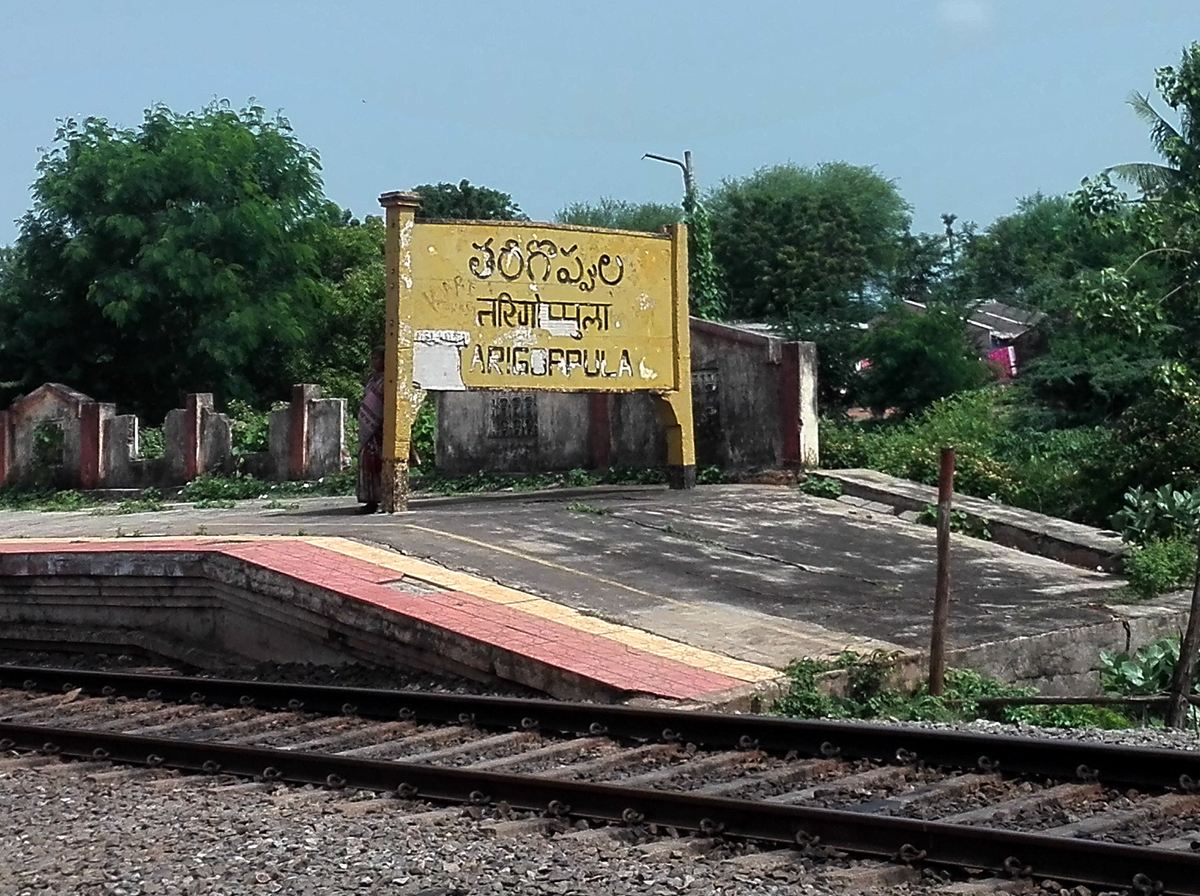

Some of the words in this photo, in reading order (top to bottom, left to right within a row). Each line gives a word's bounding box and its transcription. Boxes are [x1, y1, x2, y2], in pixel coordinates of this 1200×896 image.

[465, 227, 626, 296] తరిగొప్పుల
[472, 288, 615, 345] तरिगोप्पुला
[463, 339, 635, 382] ARIGOPPULA